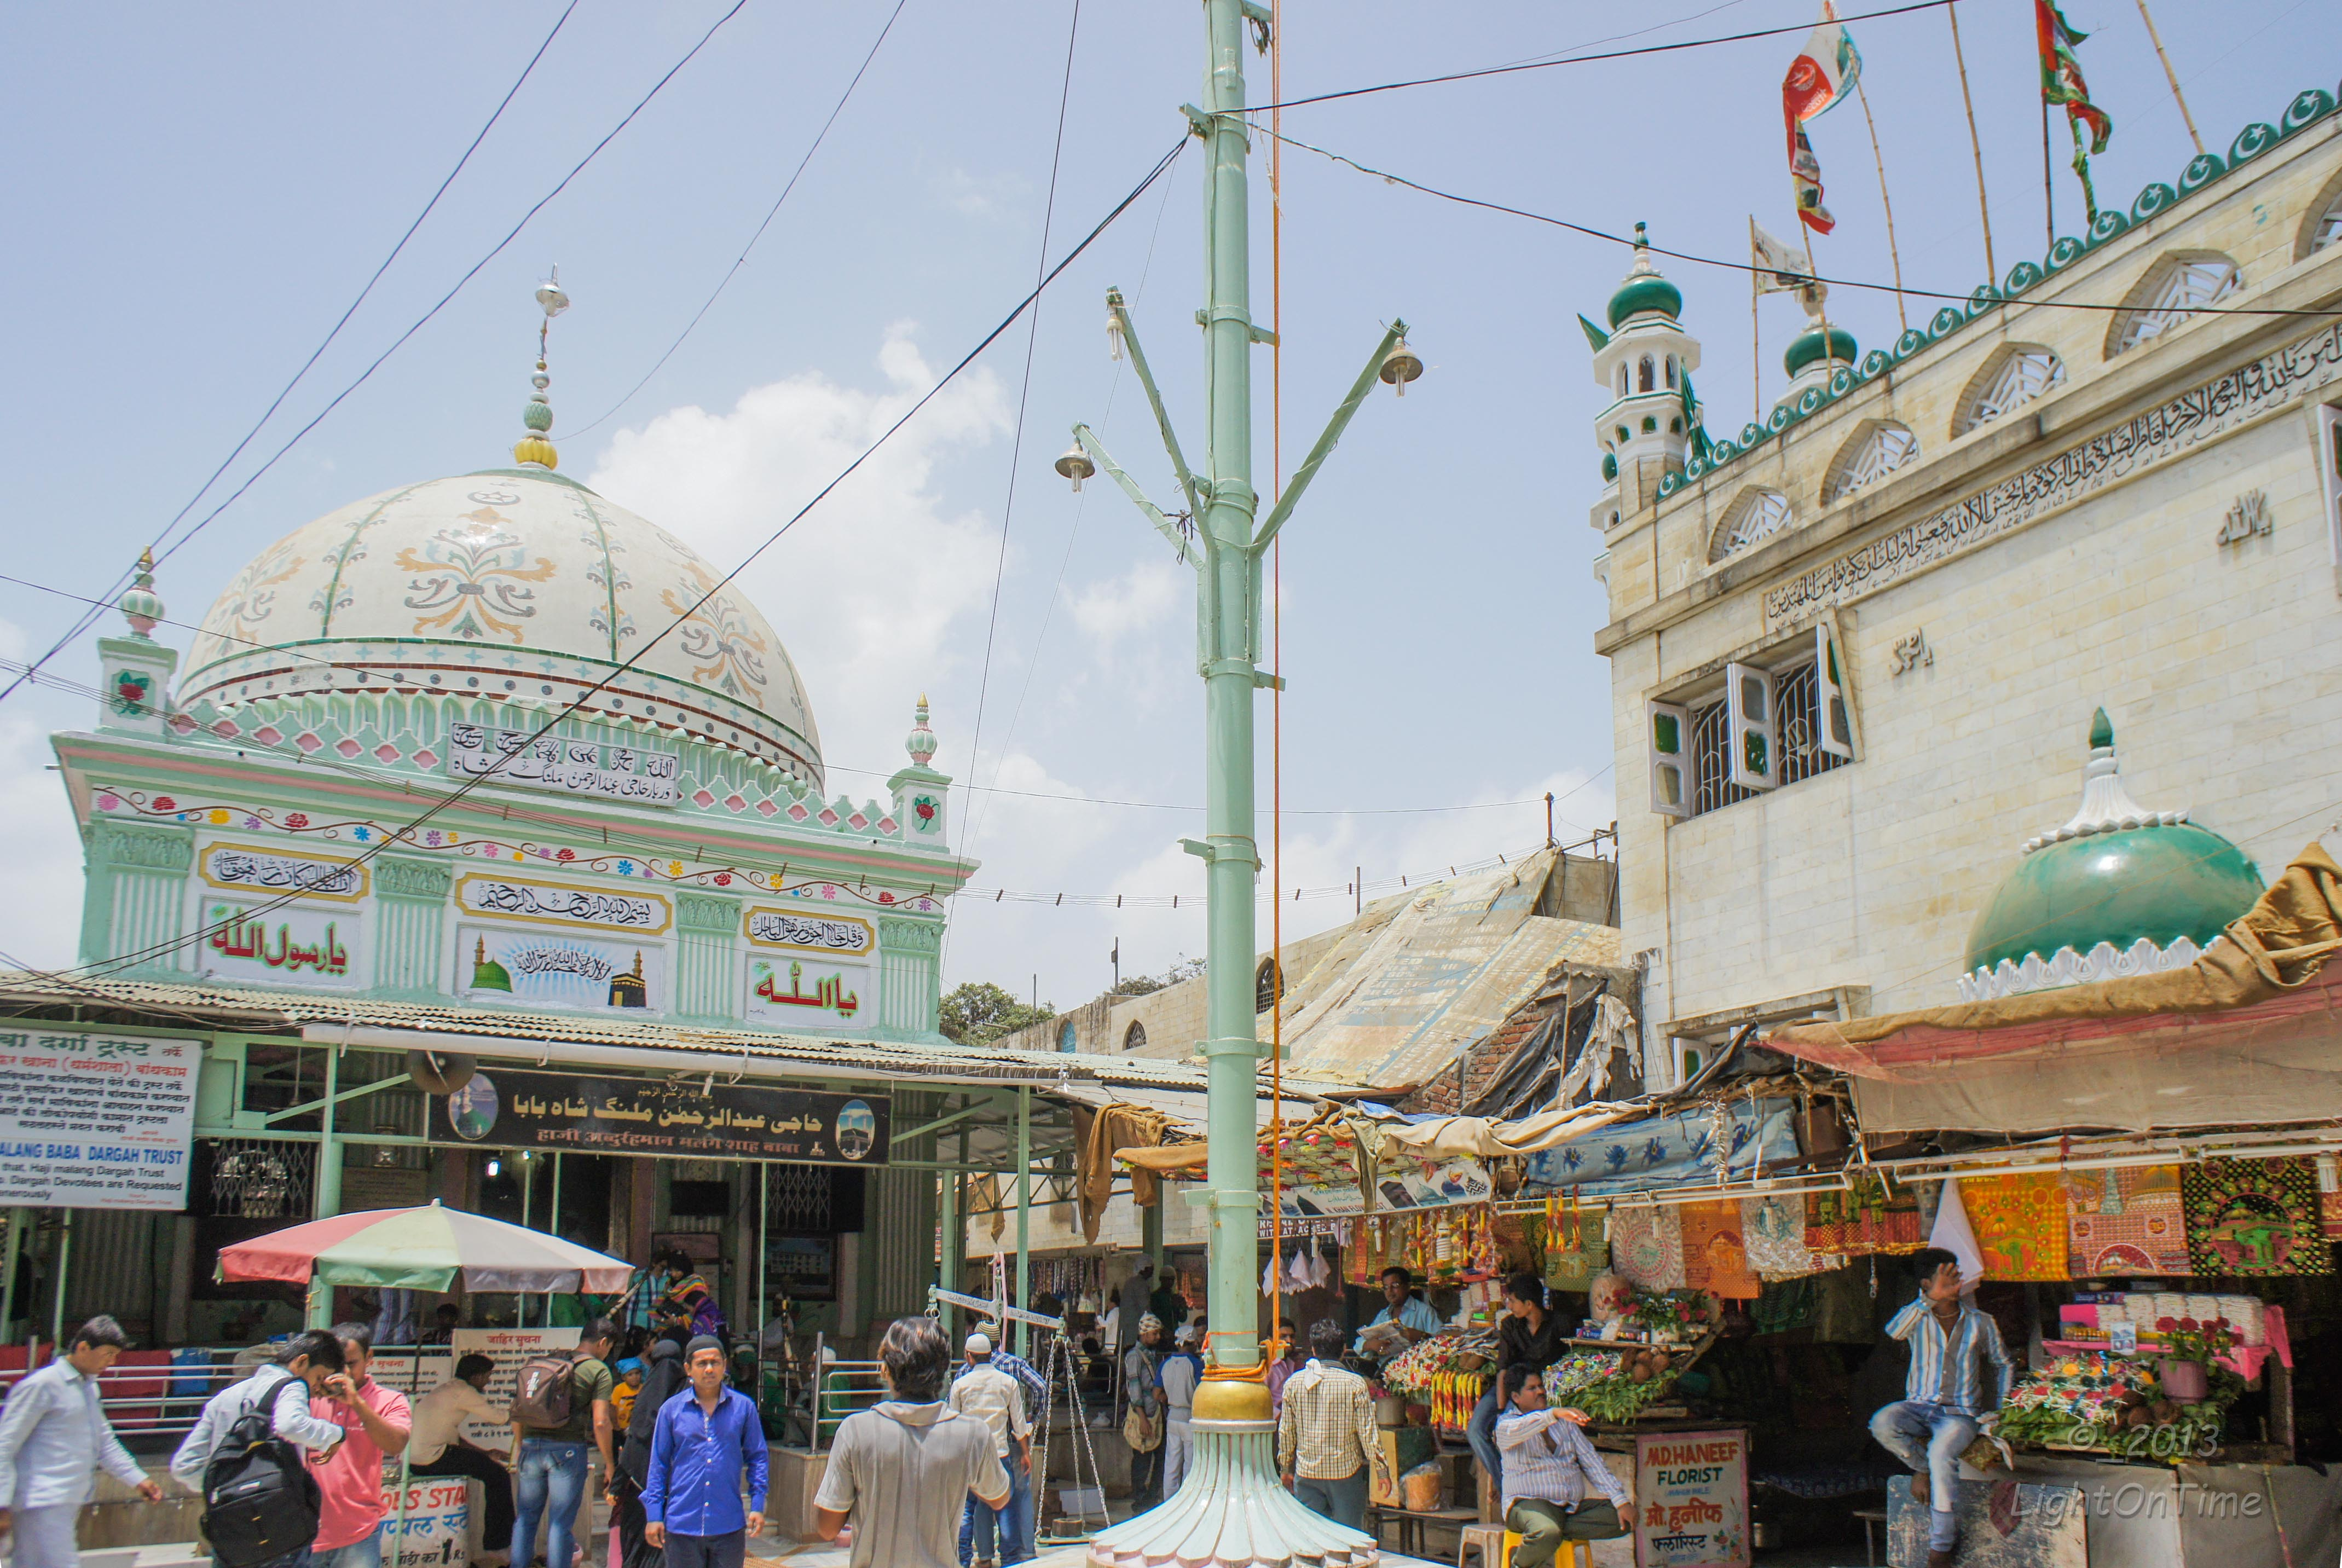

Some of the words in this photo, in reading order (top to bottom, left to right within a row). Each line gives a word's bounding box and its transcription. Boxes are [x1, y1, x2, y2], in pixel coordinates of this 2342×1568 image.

[36, 1030, 94, 1057] दर्गा
[95, 1037, 153, 1062] ट्रस्ट
[19, 1052, 59, 1073] खाना
[59, 1055, 134, 1079] (धर्मशाला)
[133, 1060, 192, 1081] बांधकाम
[43, 1141, 87, 1163] BABA
[85, 1143, 142, 1164] DARGAH
[141, 1146, 187, 1167] TRUST
[533, 1124, 583, 1147] हाजी
[584, 1127, 678, 1153] अब्दुर्रहमान
[677, 1132, 726, 1152] मलंग
[724, 1136, 760, 1156] शाह
[760, 1138, 802, 1158] बाबा
[484, 1330, 514, 1347] जाहिर
[513, 1330, 543, 1348] सुचना
[1643, 1444, 1673, 1468] MD.
[1672, 1439, 1740, 1468] HANEEF
[2121, 1416, 2224, 1471] 2013
[1656, 1466, 1726, 1488] FLORIST
[424, 1482, 466, 1511] STA
[1640, 1497, 1668, 1531] मो.
[1667, 1495, 1725, 1531] हनीफ
[2003, 1477, 2269, 1536] LightOnTime
[440, 1534, 455, 1567] 1
[1646, 1529, 1710, 1556] फ्लोरिस्ट